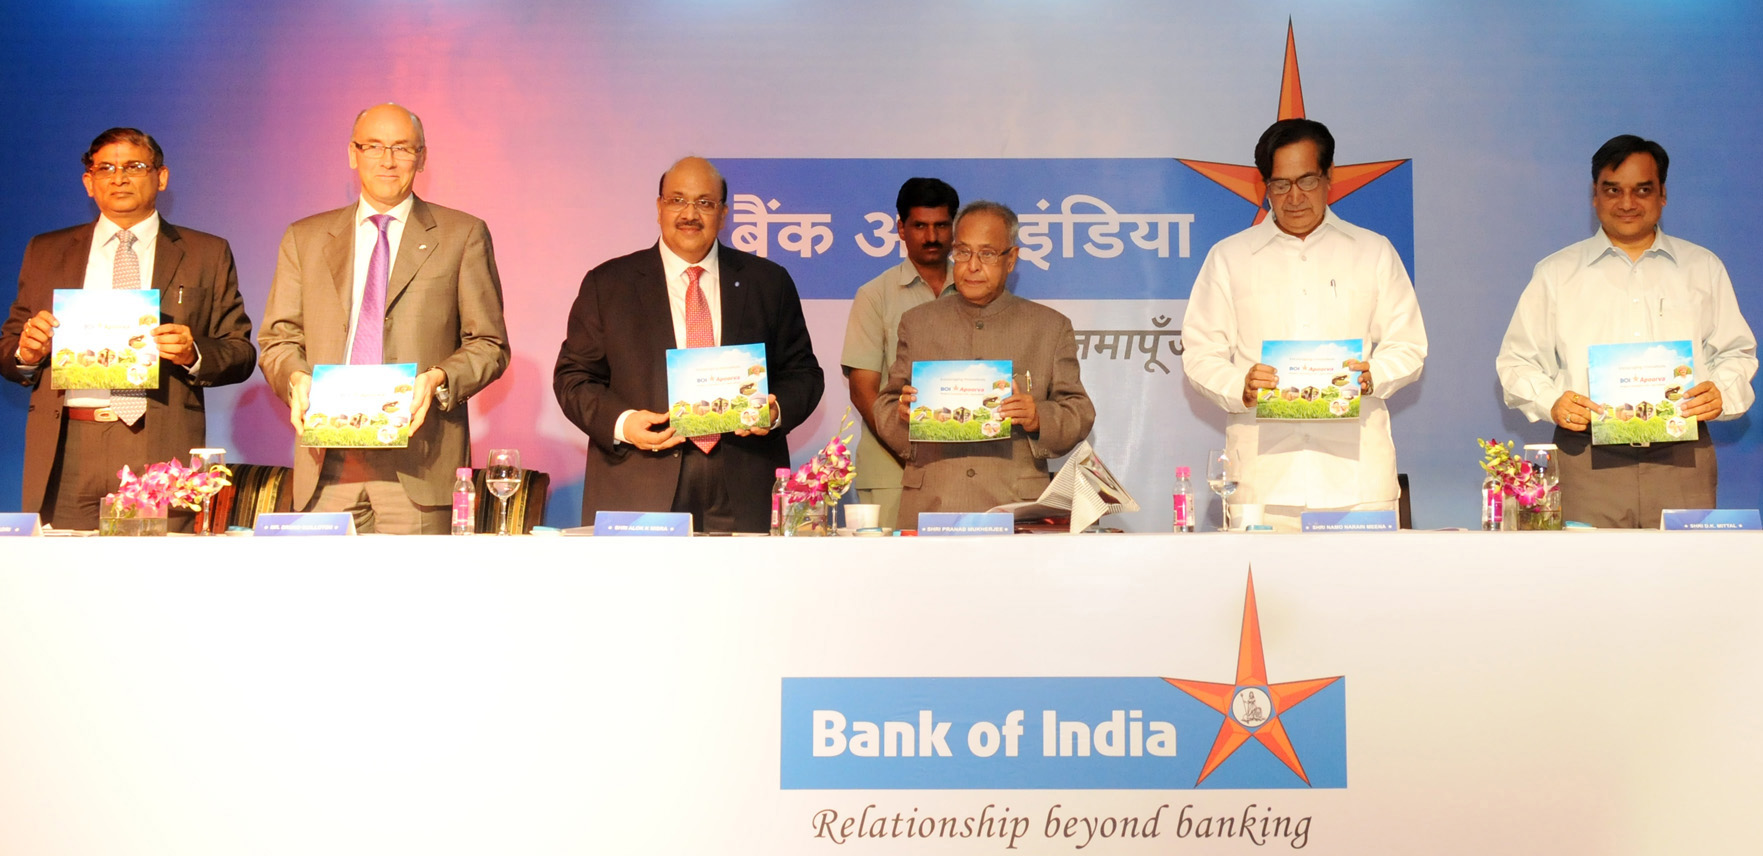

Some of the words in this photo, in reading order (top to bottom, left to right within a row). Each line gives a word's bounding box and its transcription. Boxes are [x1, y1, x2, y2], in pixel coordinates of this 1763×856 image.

[724, 187, 839, 262] बैंक
[1012, 193, 1195, 280] इंडिया
[1076, 310, 1190, 380] नमापूँ
[807, 707, 953, 762] Bank
[966, 704, 1027, 764] of
[1038, 707, 1182, 760] India
[803, 797, 1036, 854] Relationship
[1039, 799, 1172, 856] beyond
[1169, 797, 1320, 853] banking